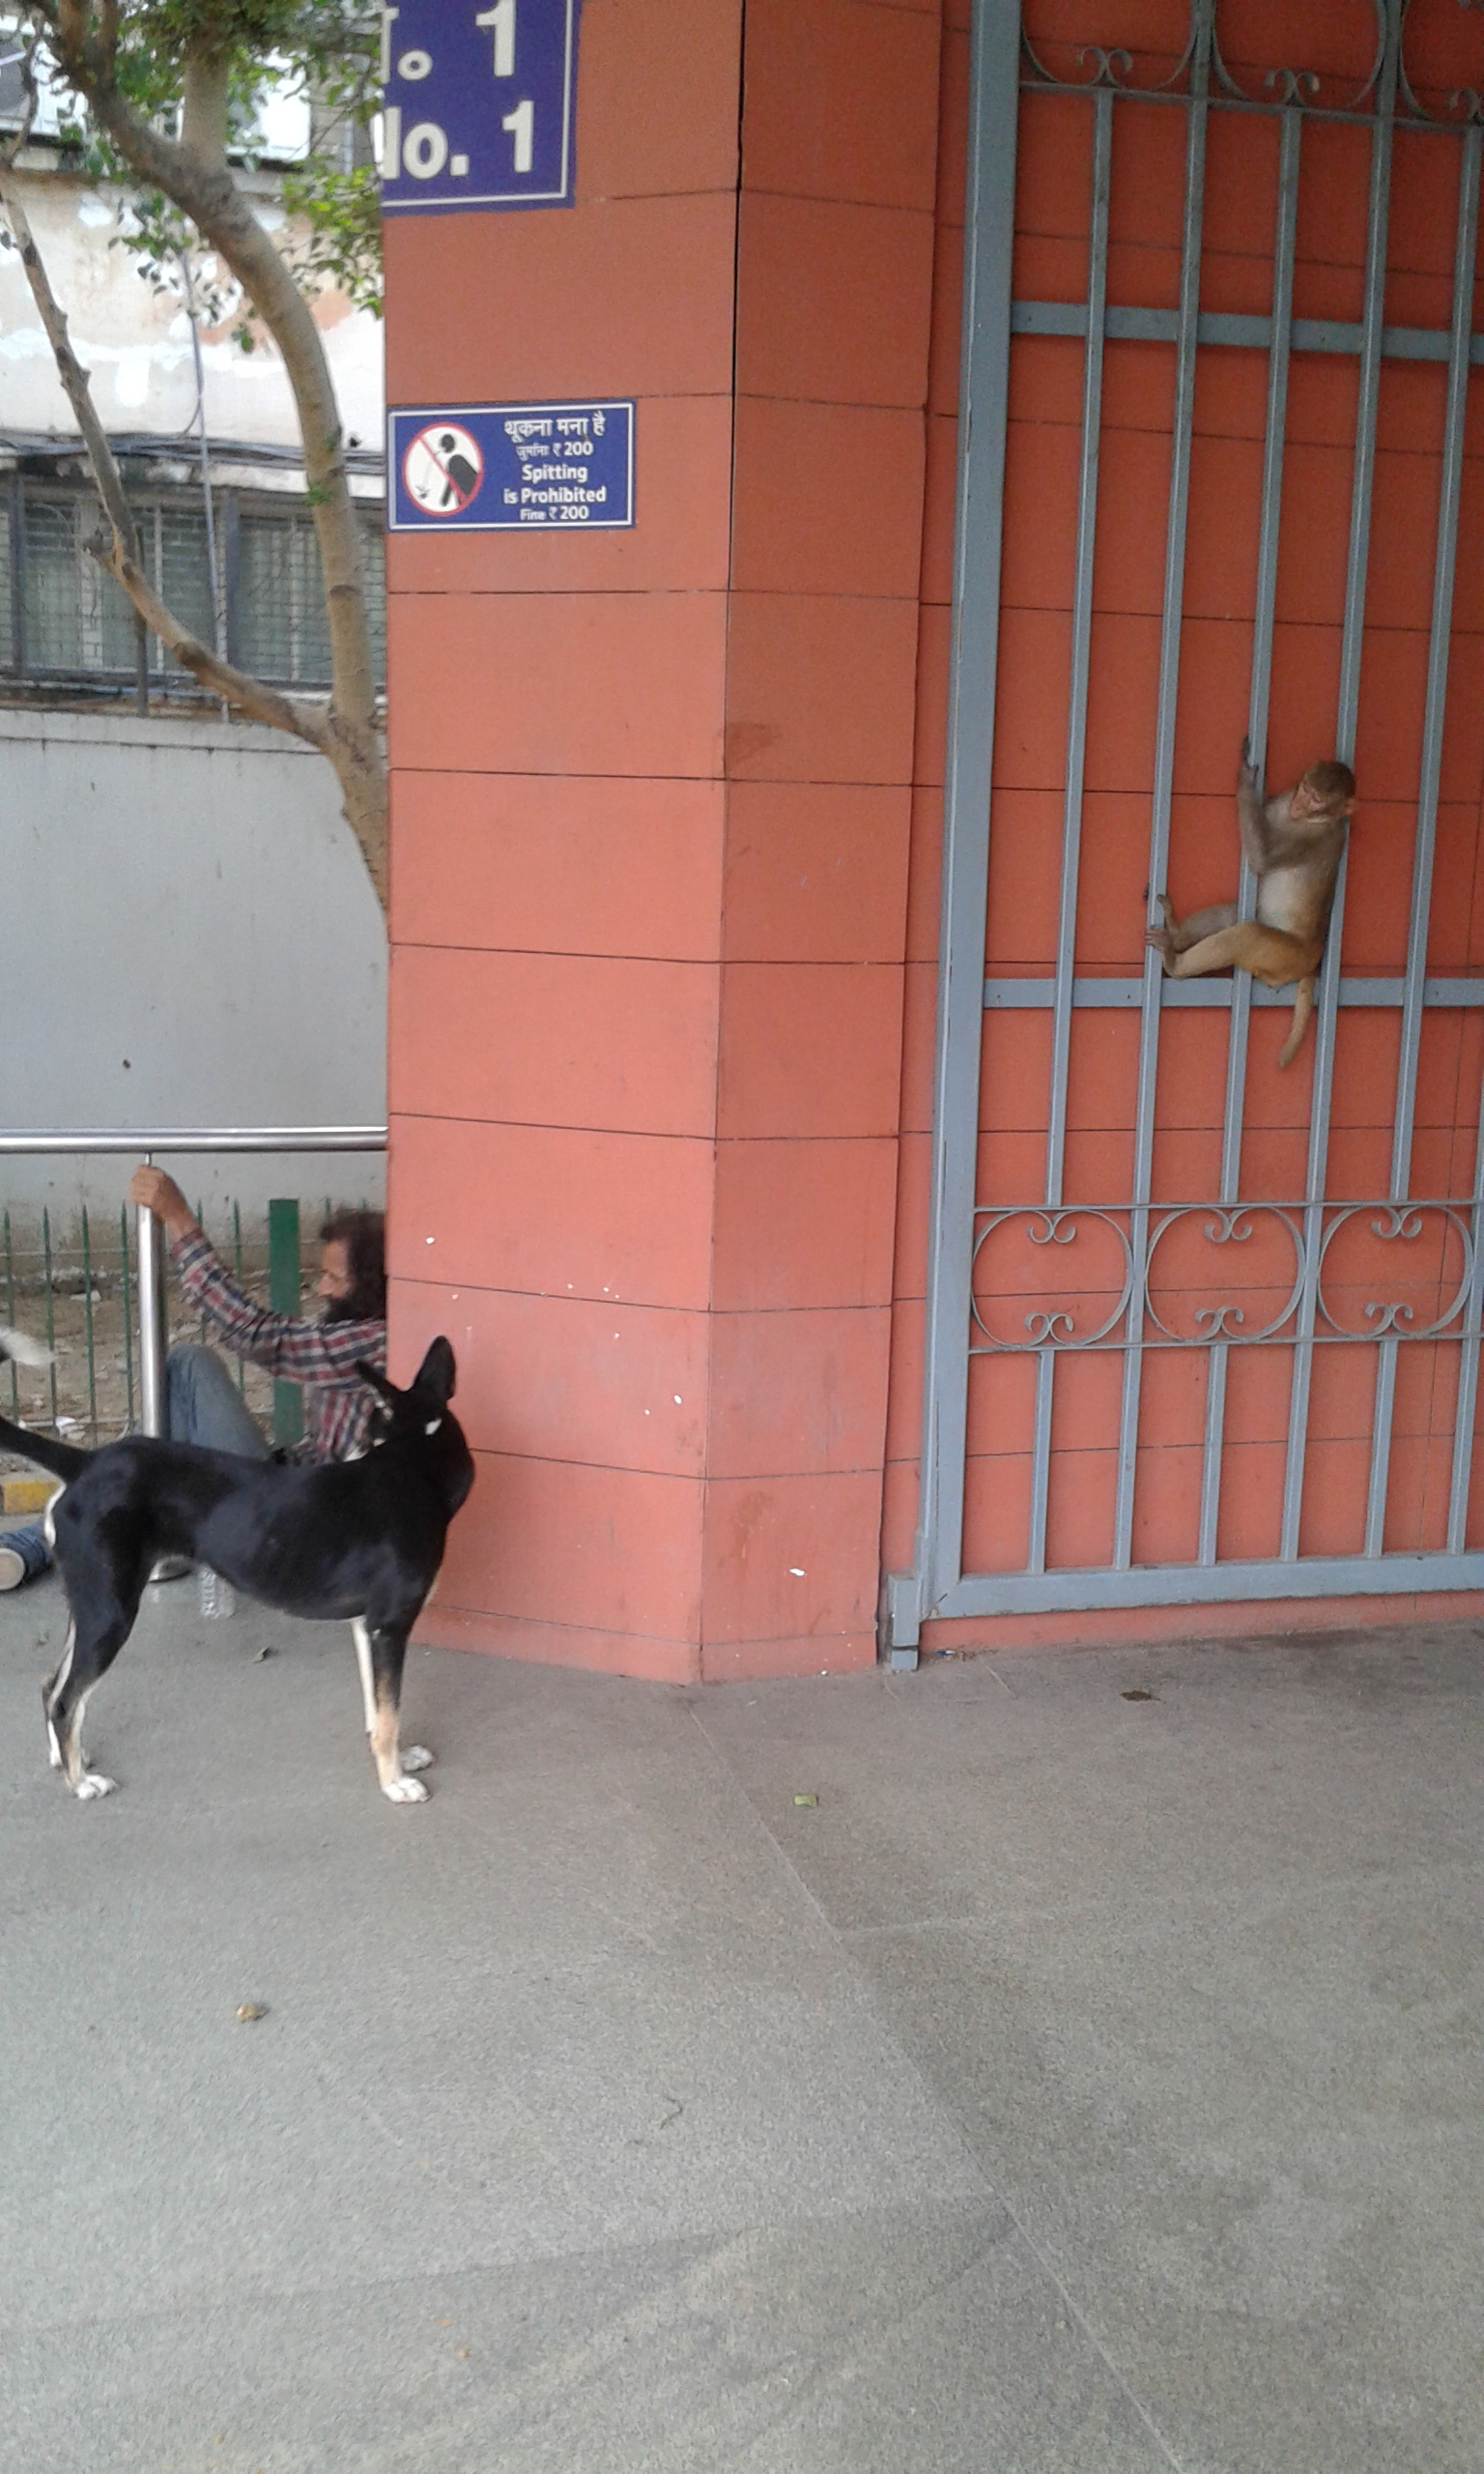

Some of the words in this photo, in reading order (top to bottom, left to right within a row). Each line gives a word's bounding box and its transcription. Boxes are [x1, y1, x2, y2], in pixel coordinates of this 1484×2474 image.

[500, 417, 556, 446] थूकना
[555, 416, 590, 441] मना
[587, 407, 608, 441] है॓
[513, 438, 550, 464] जुर्माना
[550, 437, 564, 461] र
[561, 438, 597, 458] 200
[518, 462, 589, 486] Spitting
[499, 485, 521, 505] is
[519, 482, 613, 505] Prohibited
[515, 504, 551, 524] Fine
[557, 502, 592, 521] 200